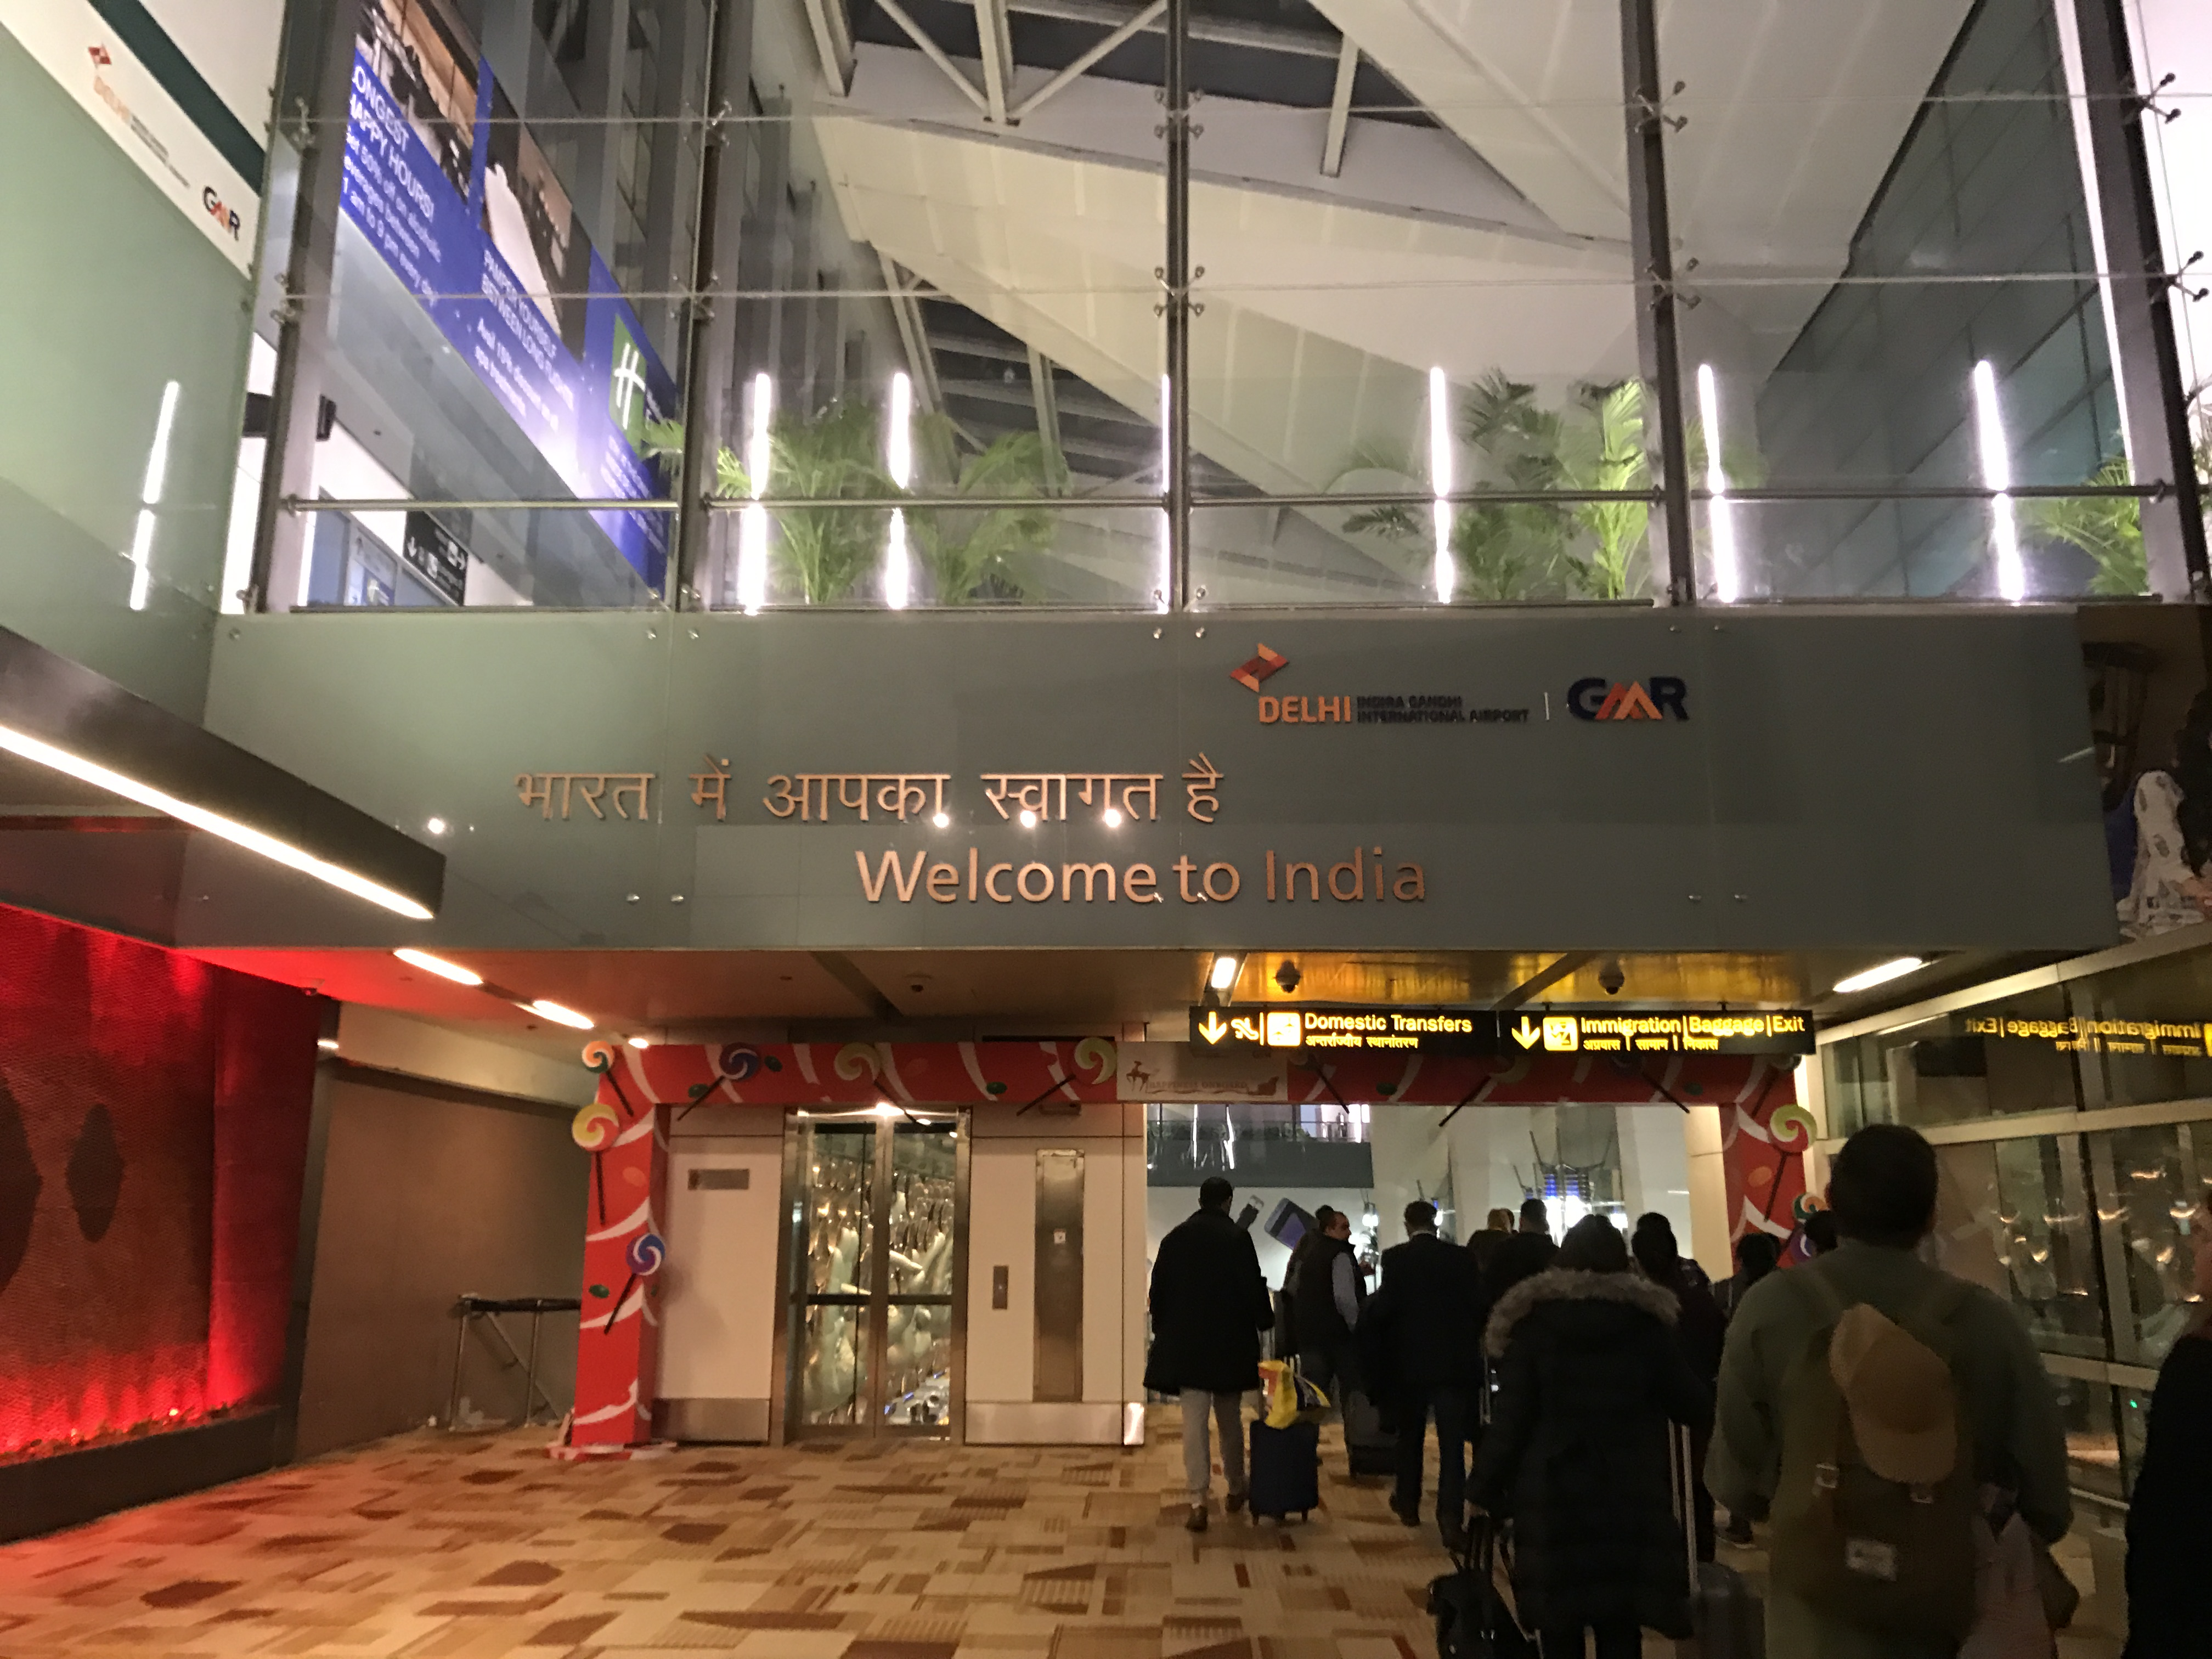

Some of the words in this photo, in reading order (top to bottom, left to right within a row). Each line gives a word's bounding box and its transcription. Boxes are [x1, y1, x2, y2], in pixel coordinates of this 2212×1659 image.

[1252, 692, 1358, 729] DELHI
[1351, 690, 1408, 712] INDIRA
[1350, 705, 1469, 729] INTERNATIONAL
[1399, 687, 1466, 715] GANDHI
[1464, 705, 1533, 725] AIRPORT
[1558, 669, 1689, 729] GAAR
[509, 765, 658, 825] भारत
[684, 748, 739, 822] में
[761, 768, 957, 830] आपका
[978, 770, 1166, 827] स्वागत
[1175, 744, 1224, 832] है
[853, 845, 1161, 907] Welcome
[1162, 853, 1247, 908] to
[1263, 839, 1431, 904] India
[1299, 1026, 1365, 1051] अन्तर्राज्यीय
[1300, 1006, 1391, 1035] Domestic
[1363, 1031, 1421, 1052] स्थानांतरण
[1387, 1011, 1477, 1037] Transfers
[1581, 1034, 1623, 1056] अप्रवास
[1576, 1009, 1685, 1041] Immigration
[1633, 1034, 1673, 1054] सामान
[1678, 1030, 1724, 1052] निकास
[1685, 1011, 1767, 1041] Baggage
[1767, 1012, 1807, 1036] Exit